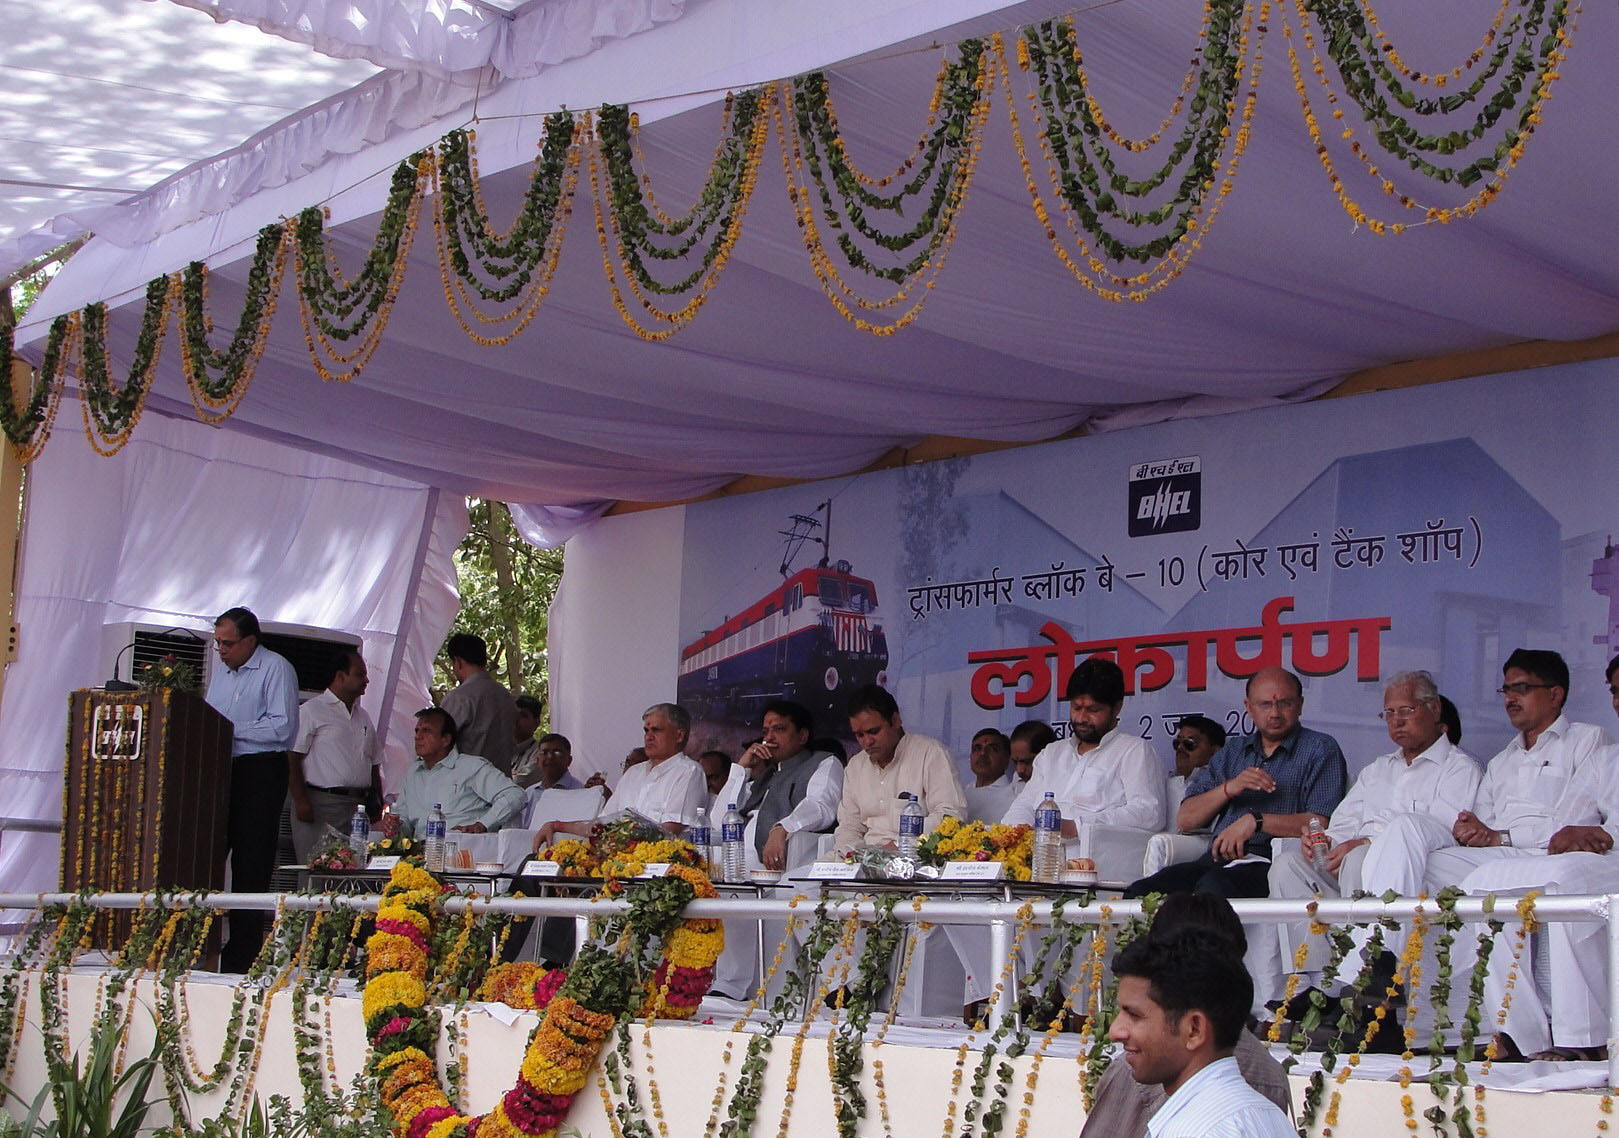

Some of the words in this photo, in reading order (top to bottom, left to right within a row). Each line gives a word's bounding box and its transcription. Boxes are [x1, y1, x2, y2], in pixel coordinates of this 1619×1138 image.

[1131, 454, 1198, 485] बीएचईएल
[1129, 488, 1198, 530] BHEL
[906, 563, 1017, 623] ट्रांसफार्मर
[1021, 557, 1091, 607] ब्लॉक
[1086, 550, 1118, 593] बे
[1149, 552, 1189, 596] 10
[1207, 532, 1271, 586] कोर
[1274, 525, 1323, 584] एवं
[1326, 520, 1389, 575] टैंक
[1394, 513, 1469, 572] शॉप
[966, 591, 1394, 715] लोकार्पण